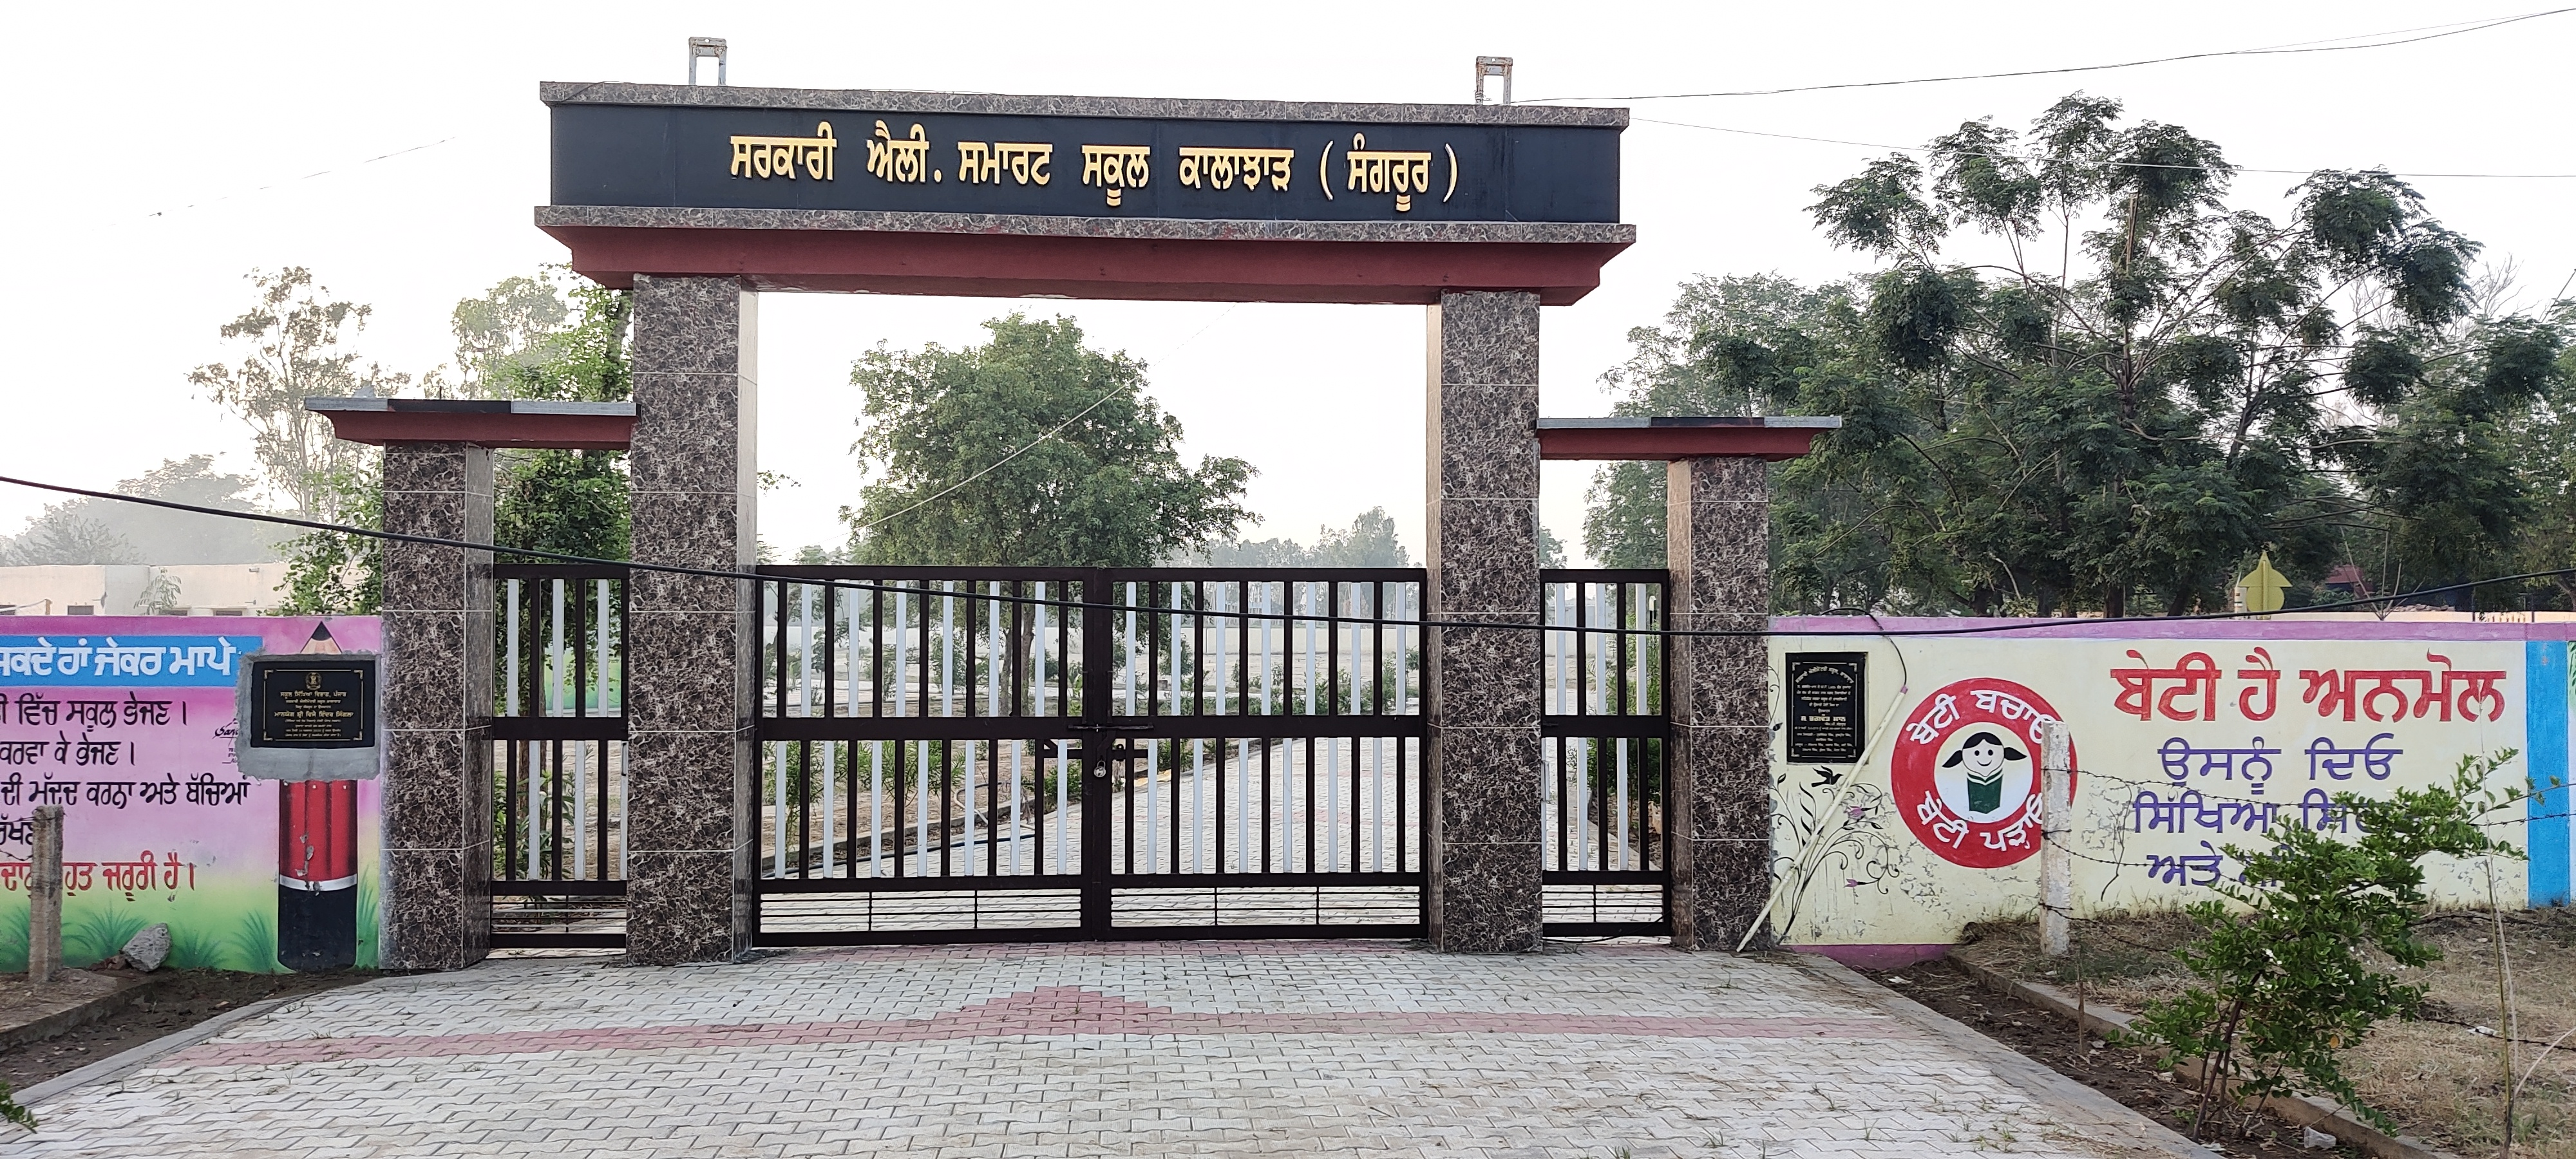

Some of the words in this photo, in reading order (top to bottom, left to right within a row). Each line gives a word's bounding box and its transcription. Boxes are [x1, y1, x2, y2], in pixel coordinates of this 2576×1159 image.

[721, 113, 844, 193] ਸਰਕਾਰੀ
[857, 115, 945, 195] ਐਲੀ.
[951, 128, 1062, 189] ਸਮਾਰਟ
[1074, 138, 1159, 209] ਸਕੂਲ
[1169, 138, 1300, 202] ਕਾਲਝਾੜ
[1341, 128, 1437, 216] ਸੰਗਰੂਰ
[0, 634, 57, 682] ਕਦੇ
[55, 634, 95, 679] ਹਾਂ
[88, 632, 167, 683] ਜੇਕਰ
[163, 632, 247, 679] ਮਾਪੇ
[11, 689, 64, 729] ਵਿੱਚ
[62, 695, 120, 735] ਸਕੂਲ
[120, 686, 180, 730] ਭੇਜਣ
[1900, 687, 1968, 754] ਬੇਟੀ
[1964, 684, 2056, 749] ਬਚਾ
[2099, 643, 2226, 734] ਬੇਟੀ
[2230, 639, 2286, 731] ਹੈ
[2289, 646, 2512, 729] ਅਨਮੋਲ
[0, 766, 30, 811] ਦੀ
[0, 809, 33, 851] ਰੱਖਣ
[0, 738, 53, 769] ਕਰਵਾ
[25, 769, 83, 809] ਮੱਦਦ
[49, 727, 73, 768] ਕੇ
[70, 730, 124, 770] ਭੇਜਣ
[82, 779, 137, 814] ਕਰਨਾ
[136, 768, 182, 811] ਅਤੇ
[181, 767, 253, 815] ਬੱਇਆਂ
[1913, 780, 1976, 858] ਬੇਟੀ
[1975, 807, 2040, 860] ਪੜਾ
[2126, 785, 2283, 843] ਸਿੱਖਿਆ
[2152, 731, 2288, 798] ਉਸਨੂੰ
[2298, 729, 2412, 784] ਦਿਓ
[0, 860, 25, 897] ਦਾ
[62, 858, 97, 900] ਹੁਤ
[99, 844, 158, 905] ਜਰੂਰੀ
[157, 844, 189, 892] ਹੈ
[2143, 833, 2226, 891] ਅਤੇ